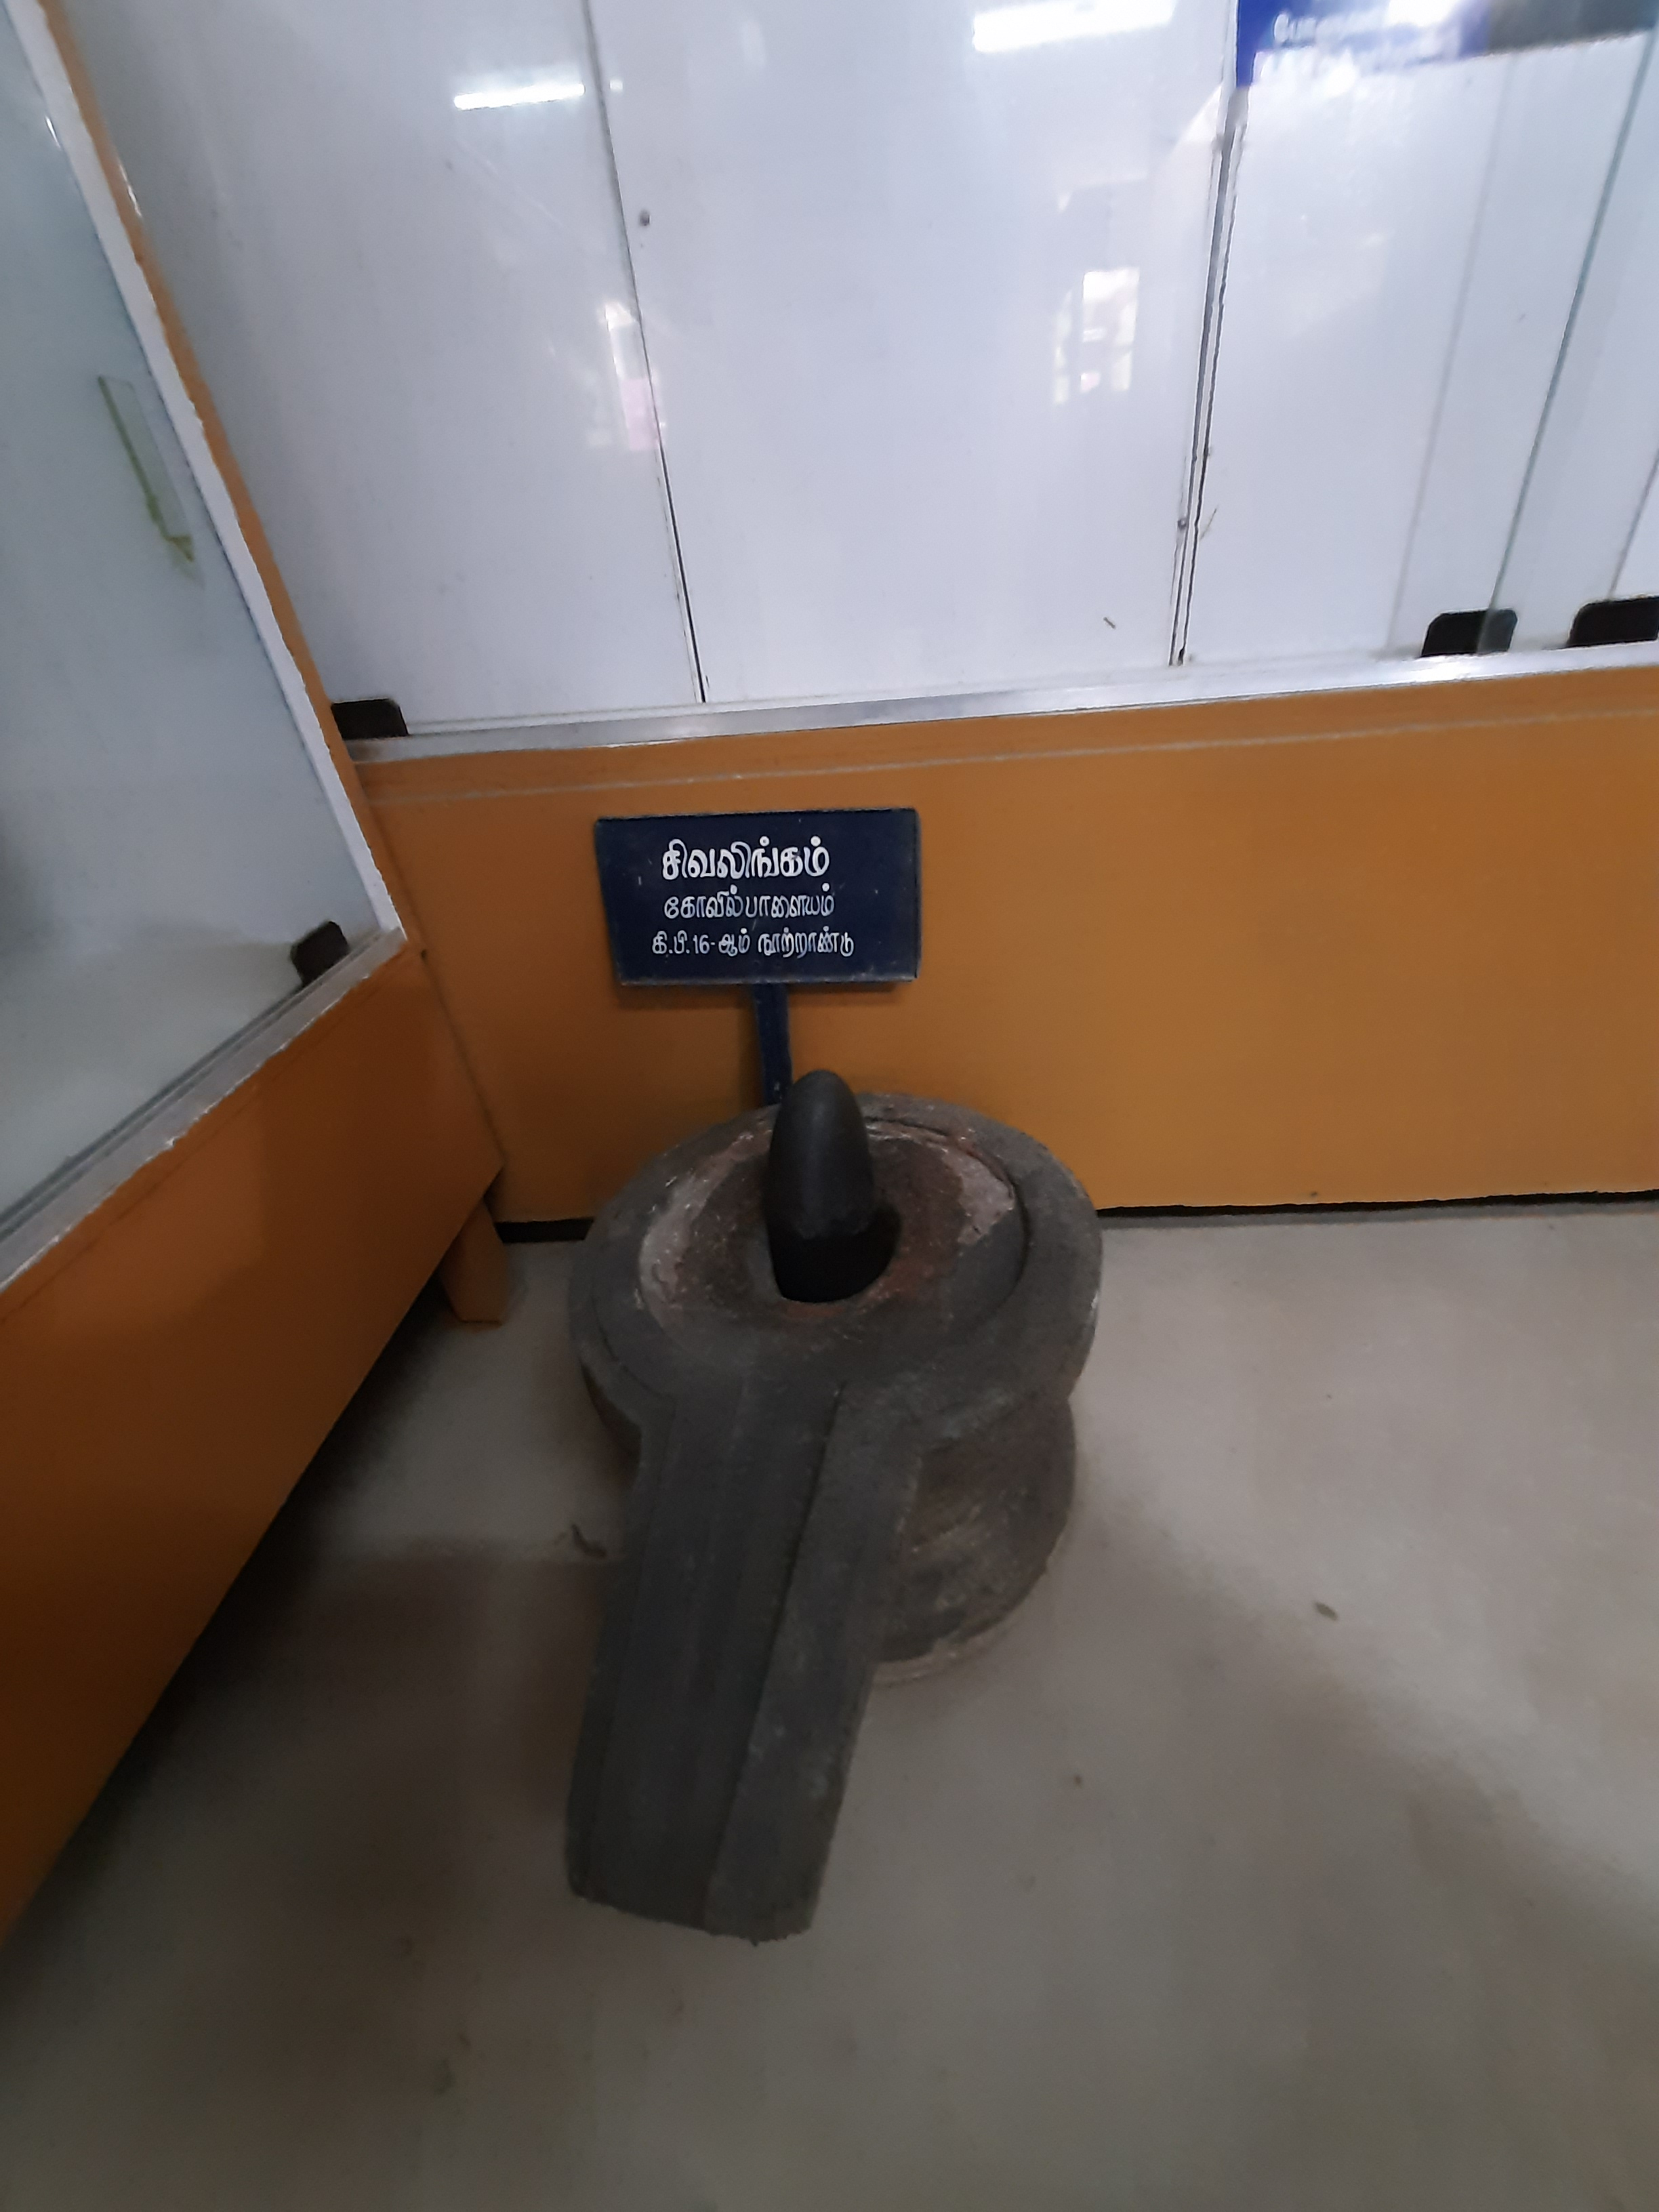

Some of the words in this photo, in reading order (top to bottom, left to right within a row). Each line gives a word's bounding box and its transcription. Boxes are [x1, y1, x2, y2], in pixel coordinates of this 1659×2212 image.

[657, 829, 836, 886] சிவலிங்கம்
[659, 882, 838, 922] கோவில்பாளையம்
[647, 923, 752, 958] கி.பி.16-ஆம்
[756, 922, 859, 961] நூற்றரண்டு